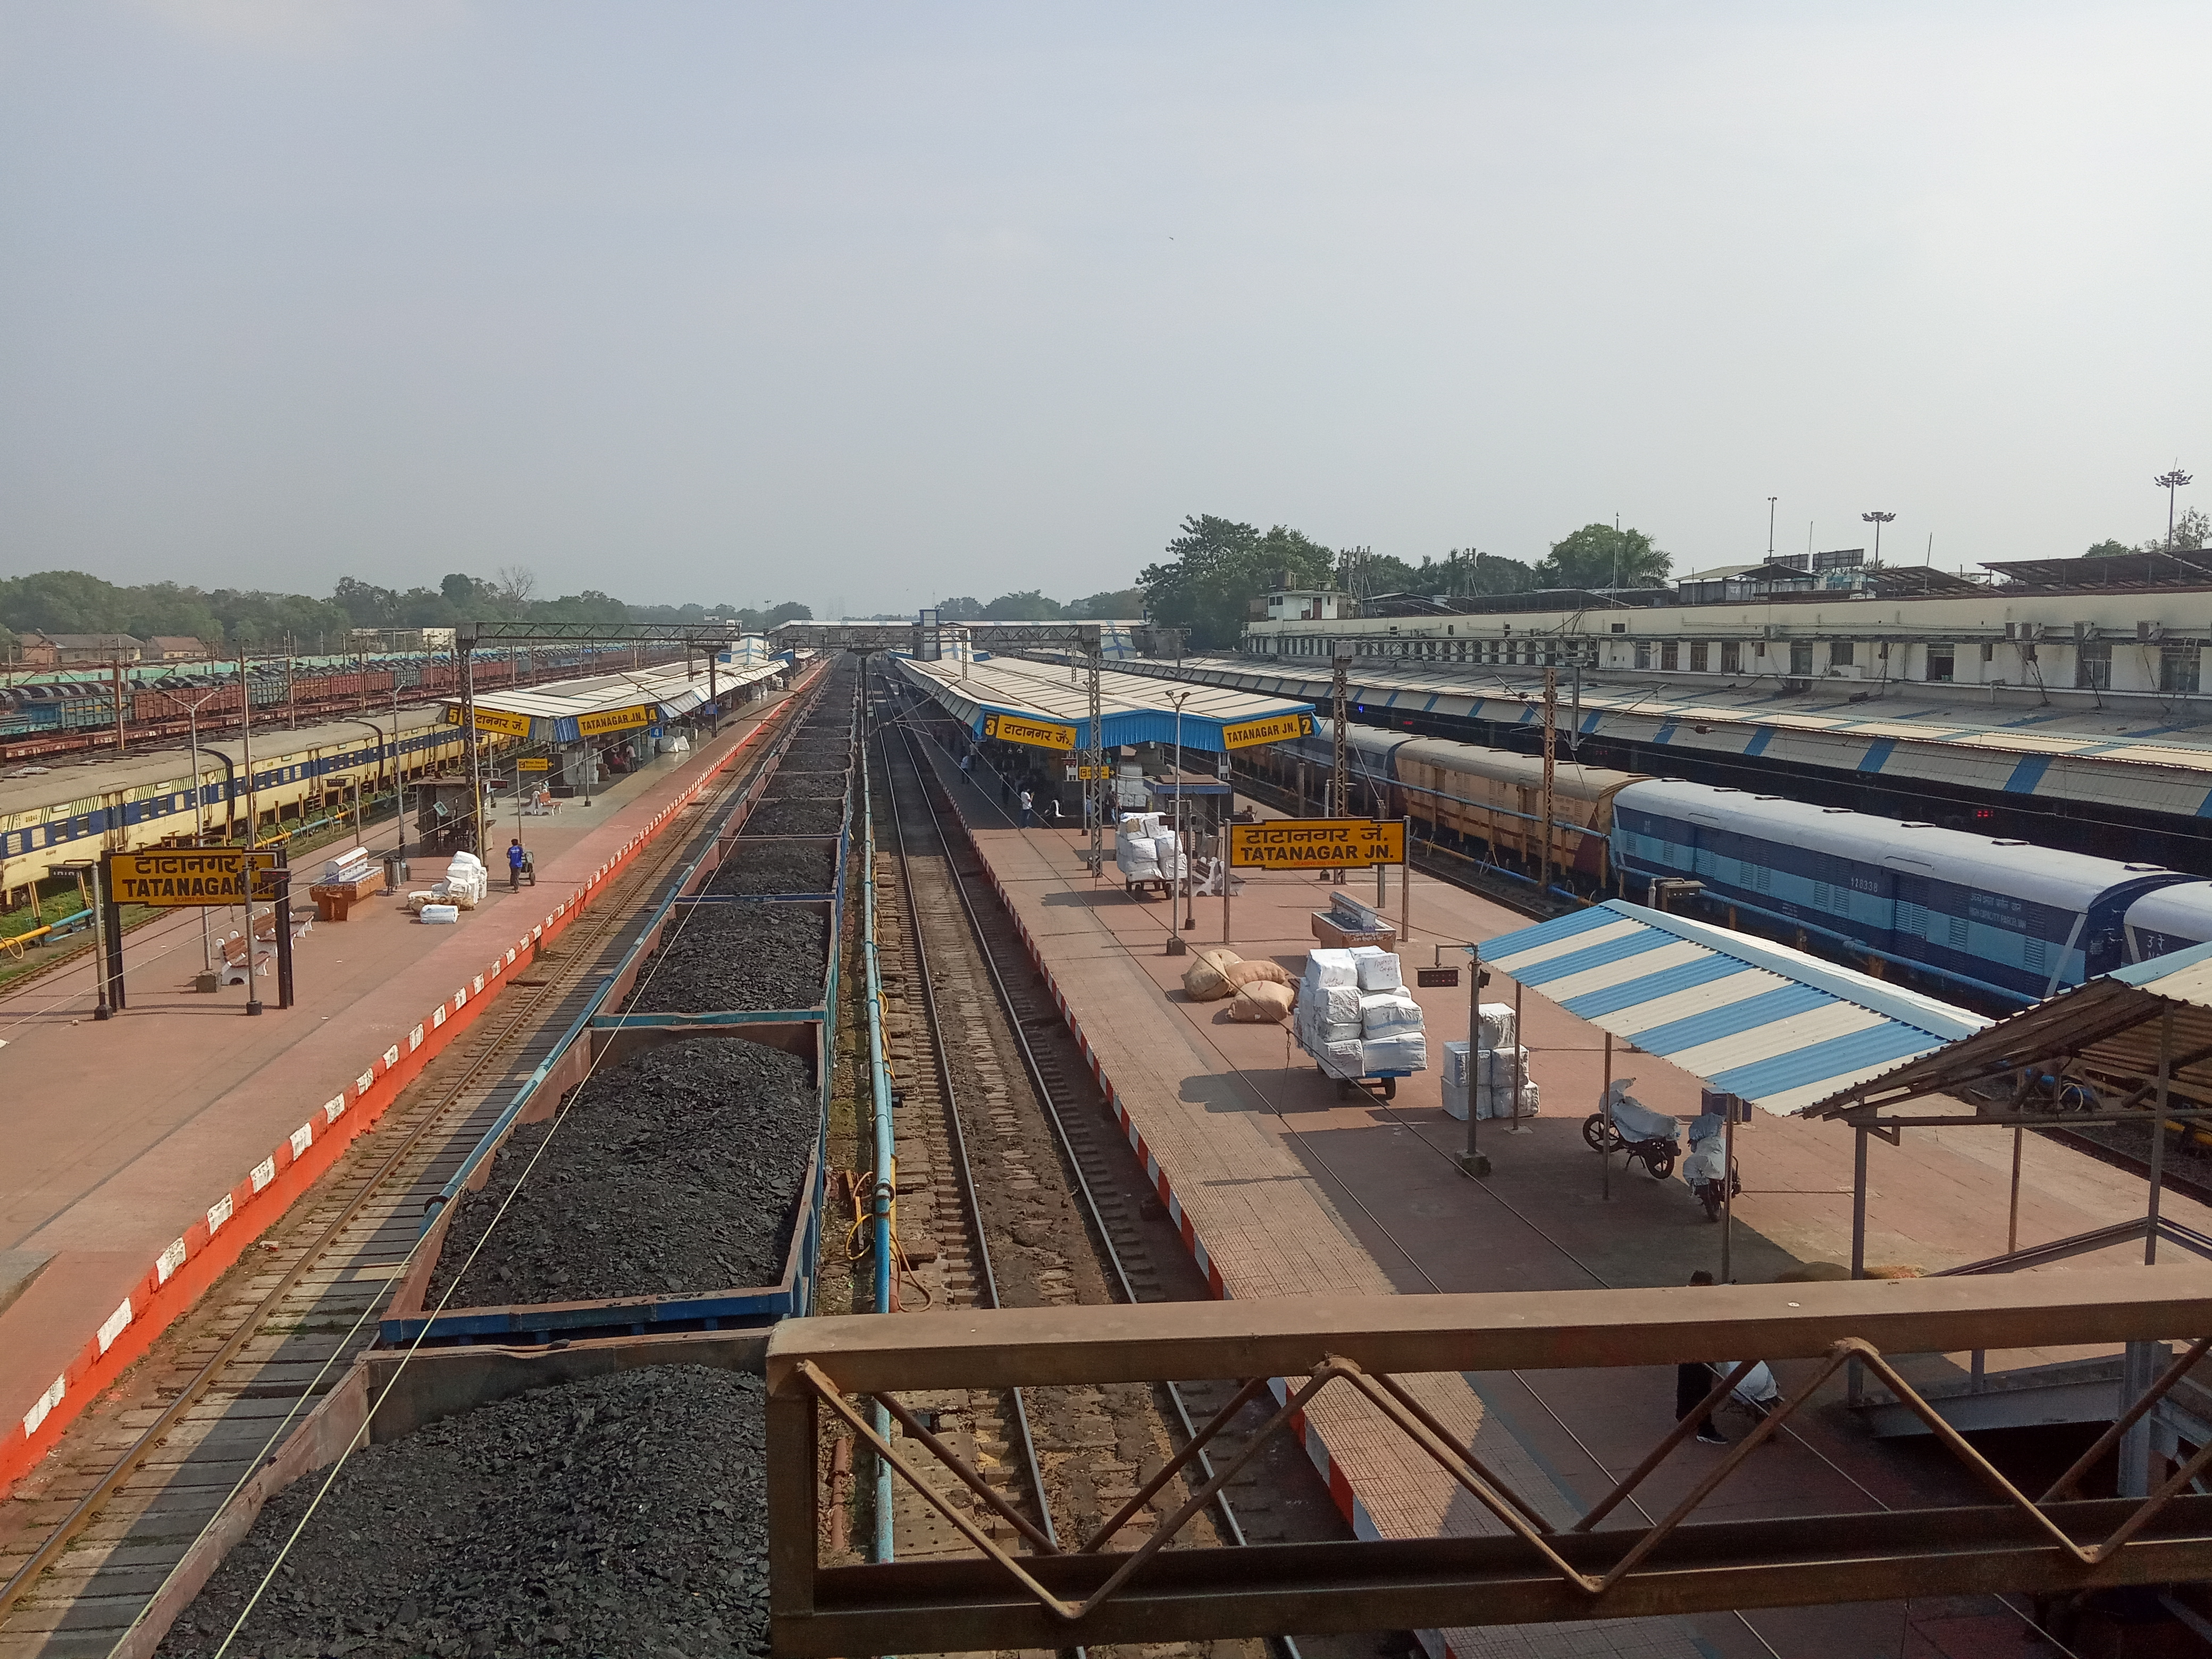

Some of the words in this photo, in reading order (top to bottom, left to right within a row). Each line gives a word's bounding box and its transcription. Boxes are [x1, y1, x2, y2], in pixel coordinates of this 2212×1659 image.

[466, 710, 510, 730] टानगर
[509, 716, 526, 732] जं.
[580, 713, 629, 731] TATANAGAR
[629, 710, 646, 724] JN.
[1002, 722, 1053, 742] टाटानगर
[1054, 728, 1074, 747] जं.
[1226, 723, 1280, 743] TATANAGAR
[1281, 720, 1298, 734] JN.
[1242, 827, 1351, 846] टाटानगर
[1359, 822, 1390, 843] जं.
[1241, 842, 1360, 862] TATANAGAR
[1363, 843, 1395, 860] JN.
[132, 852, 241, 876] टाटानगर
[121, 876, 247, 899] TATANAGAR